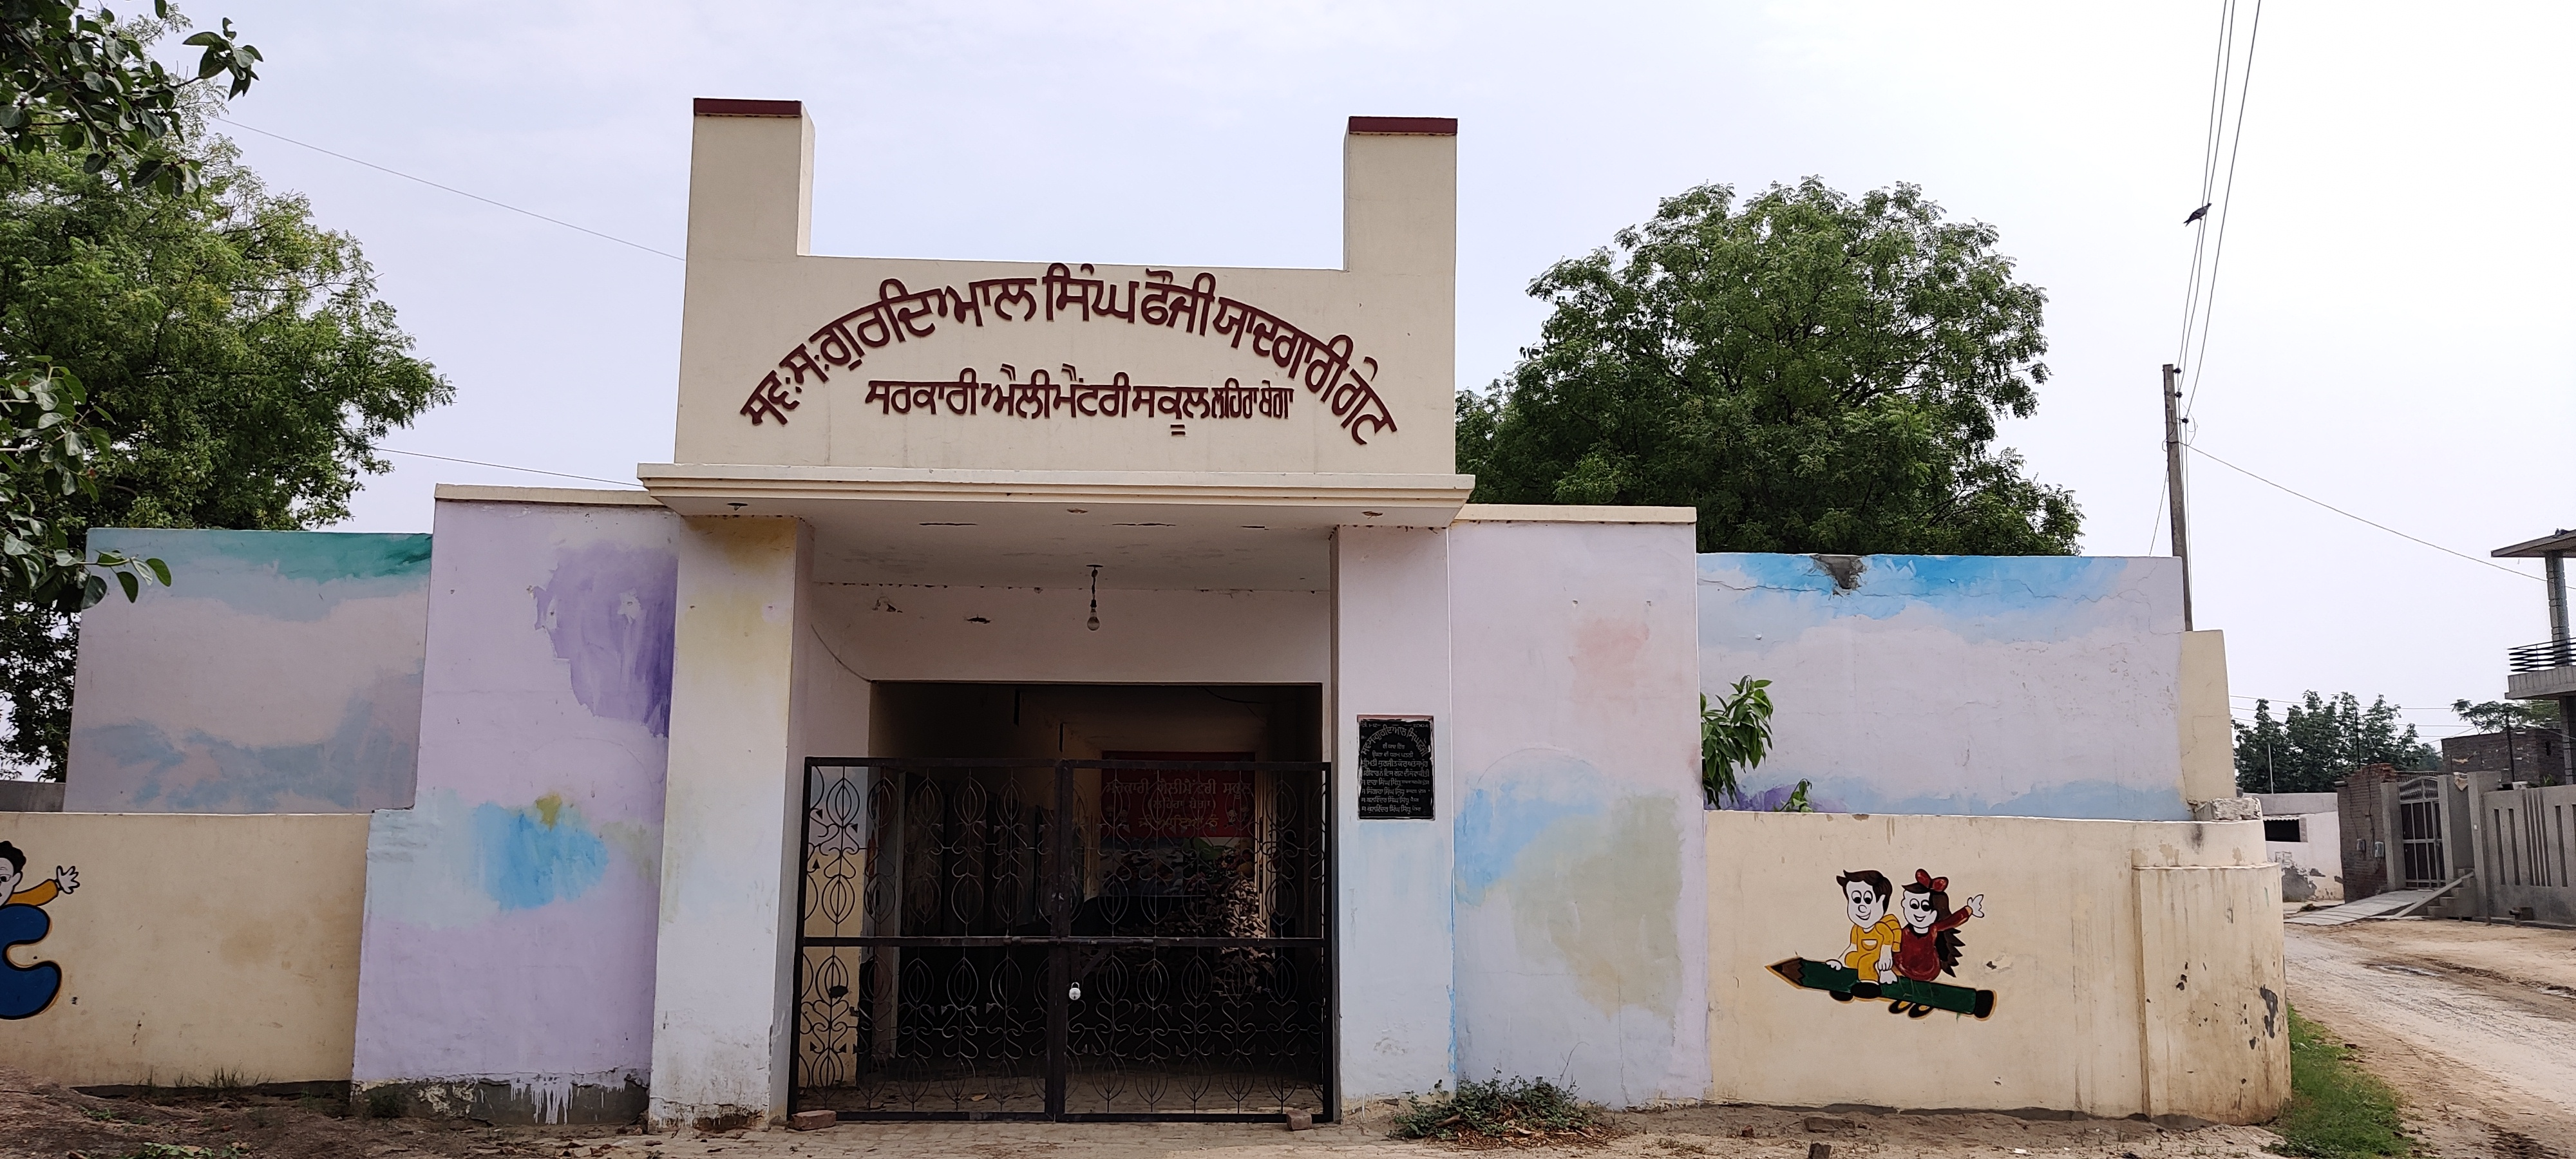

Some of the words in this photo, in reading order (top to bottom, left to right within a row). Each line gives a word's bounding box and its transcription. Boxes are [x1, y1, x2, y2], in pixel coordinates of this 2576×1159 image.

[733, 363, 810, 437] ਸਵਃ
[777, 338, 837, 390] ਸ:
[862, 363, 980, 423] ਸਰਕਾਰੀ
[805, 270, 1040, 372] ਗੁਰਦਿਆਲ
[980, 357, 1133, 424] ਐਲੀਮੈਂਟਰੀ
[1038, 260, 1219, 343] ਸਿੰਘਫੌਜੀ
[1130, 381, 1211, 440] ਸਕੂਲ
[1209, 374, 1260, 422] ਲਹਿਰਾ
[1256, 377, 1300, 422] ਬੇਗਾ
[1209, 292, 1359, 408] ਯਾਦਗਾਰੀ
[1327, 352, 1405, 454] ਗੇਟ